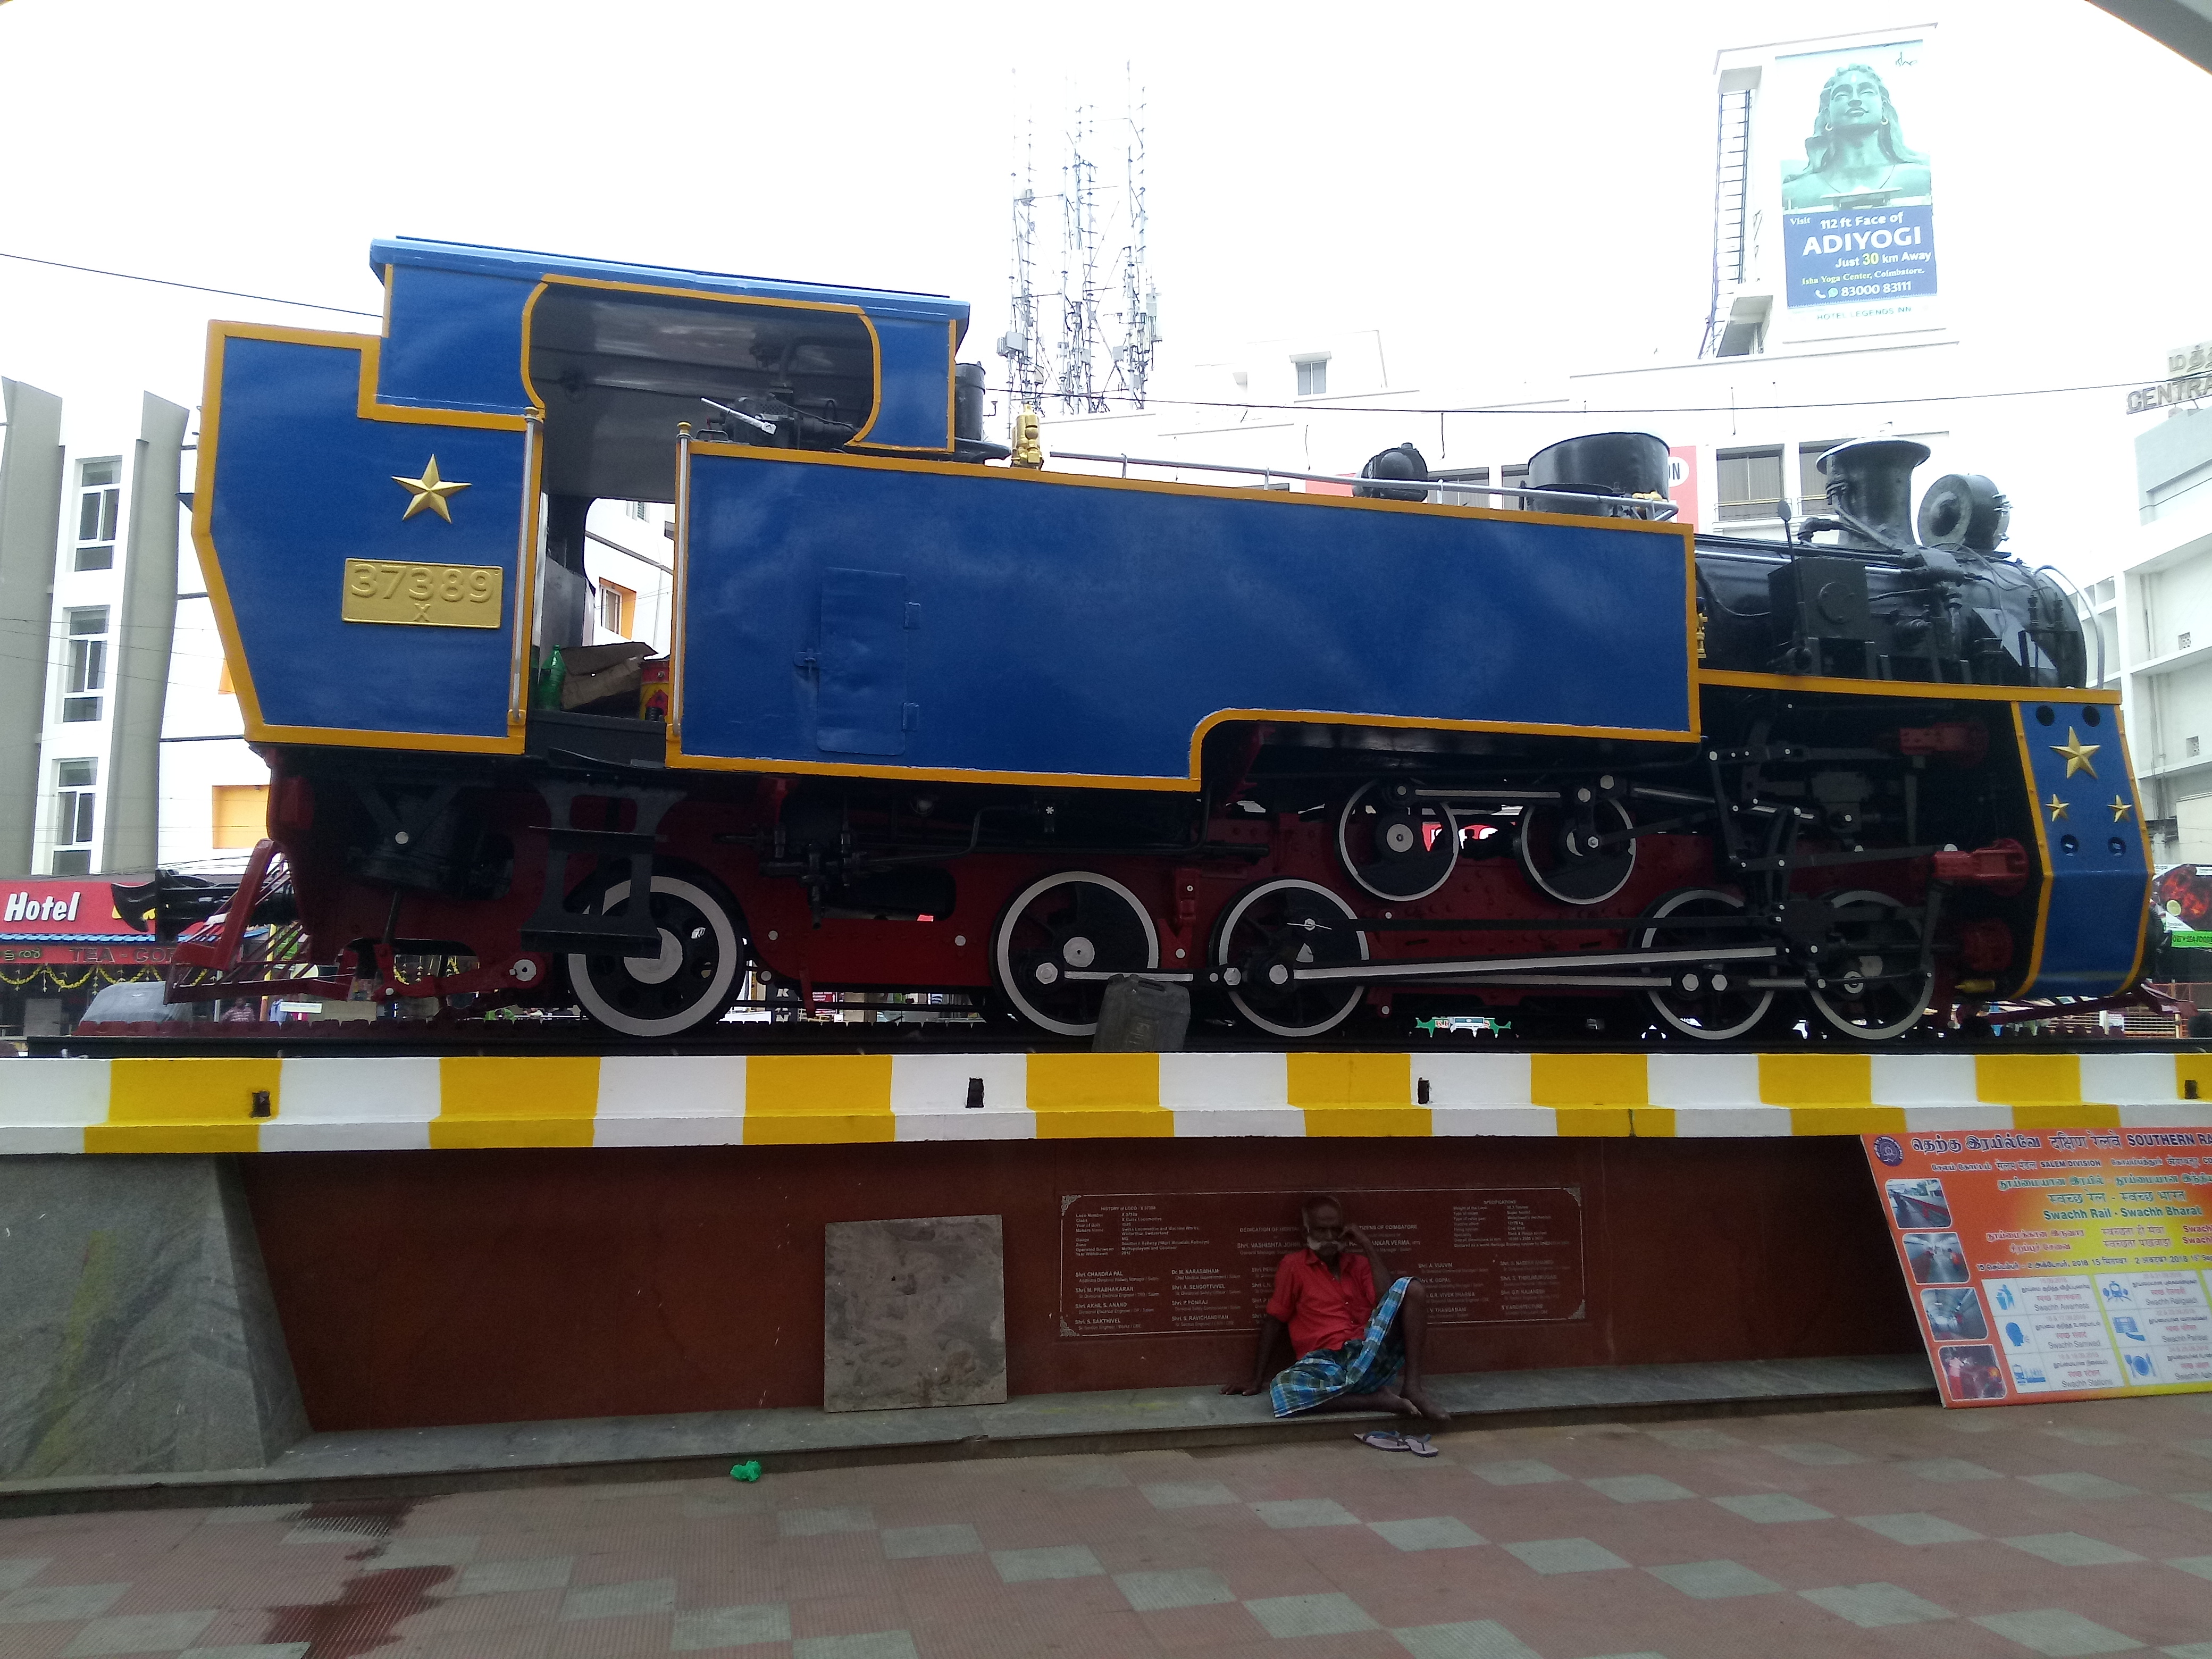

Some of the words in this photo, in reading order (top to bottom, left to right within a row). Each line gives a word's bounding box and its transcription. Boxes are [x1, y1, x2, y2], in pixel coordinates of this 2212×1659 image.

[1788, 211, 1813, 228] Visit
[1818, 216, 1840, 232] 112
[1837, 212, 1854, 231] ft
[1853, 213, 1887, 230] Face
[1887, 210, 1906, 228] of
[1800, 224, 1924, 257] ADIYOGI
[1833, 255, 1862, 272] Just
[1859, 250, 1881, 269] 30
[1881, 250, 1903, 266] km
[1897, 247, 1934, 266] Away
[1800, 272, 1822, 288] Isha
[1819, 272, 1843, 287] Yoga
[1840, 270, 1873, 283] Center,
[1872, 266, 1928, 280] Colmbatore.
[1839, 280, 1915, 297] 8300083111
[1816, 308, 1849, 322] HOTEL
[1848, 304, 1914, 320] LEGENDSNN
[2123, 371, 2211, 413] CENTRA
[2, 889, 82, 925] Hotel
[66, 944, 116, 968] TEA
[1908, 1129, 1965, 1155] எதற்கு
[1963, 1129, 2043, 1153] இரயில்வே
[2048, 1127, 2090, 1153] दक्षिण
[2083, 1127, 2124, 1150] रेलवे
[2123, 1130, 2198, 1150] SOUTHERN
[1928, 1160, 1960, 1174] சேலம்
[1955, 1158, 1995, 1175] கோட்டம்
[1991, 1155, 2018, 1174] सेलम
[2015, 1153, 2039, 1171] मंडल
[2038, 1158, 2068, 1172] SALEM
[2065, 1154, 2103, 1169] DIVISION
[2106, 1153, 2166, 1168] கோயம்பத்தூர்
[2164, 1152, 2203, 1171] कोयम्बटूर
[1995, 1171, 2068, 1193] தூய்மையான
[2065, 1170, 2107, 1187] இரயில்
[2114, 1168, 2182, 1187] தூய்மையான
[2045, 1191, 2085, 1206] स्वच्छ
[2082, 1184, 2109, 1205] रेल
[2118, 1189, 2156, 1205] स्वच्छ
[2155, 1186, 2188, 1204] भारत
[2040, 1205, 2090, 1221] Swachh
[2086, 1204, 2114, 1219] Rail
[2118, 1203, 2165, 1220] Swachh
[2163, 1202, 2205, 1218] Bharat
[1984, 1224, 2022, 1246] குதூய்மை
[2004, 1240, 2042, 1255] சுத்தம்
[2099, 1225, 2136, 1240] स्वच्छता
[2101, 1237, 2140, 1250] स्वच्छता
[2133, 1219, 2148, 1238] ही
[2136, 1234, 2175, 1251] पखवाड़ा
[2144, 1221, 2168, 1237] सेवा
[1972, 1262, 1988, 1272] 15
[1982, 1259, 2022, 1272] செப்டம்பா்
[2025, 1254, 2072, 1272] உஅக்டோபா்.
[2071, 1258, 2092, 1268] 2018
[2089, 1254, 2104, 1268] 15
[2099, 1252, 2131, 1267] सितम्बर
[2133, 1254, 2143, 1268] 2
[2139, 1252, 2169, 1268] अक्टूबर
[2165, 1253, 2192, 1266] 2016
[2035, 1293, 2054, 1303] स्वच्छ
[2029, 1299, 2064, 1314] Swachh
[2054, 1291, 2084, 1301] जागरुकता
[2058, 1297, 2092, 1312] Awarness
[2148, 1287, 2168, 1297] स्वच्छ
[2143, 1295, 2173, 1309] அவஸர்
[2045, 1337, 2075, 1351] Swachh
[2054, 1329, 2073, 1341] स्वच्छ
[2067, 1327, 2090, 1341] संवाद
[2068, 1336, 2104, 1349] Samwed
[2164, 1323, 2181, 1334] स्वच्छ
[2156, 1331, 2189, 1345] Swachh
[2176, 1318, 2199, 1335] परिसर
[2060, 1377, 2089, 1390] Swachh
[2067, 1368, 2084, 1380] स्वच्छ
[2081, 1364, 2102, 1379] स्टेशन
[2086, 1375, 2115, 1389] Stations